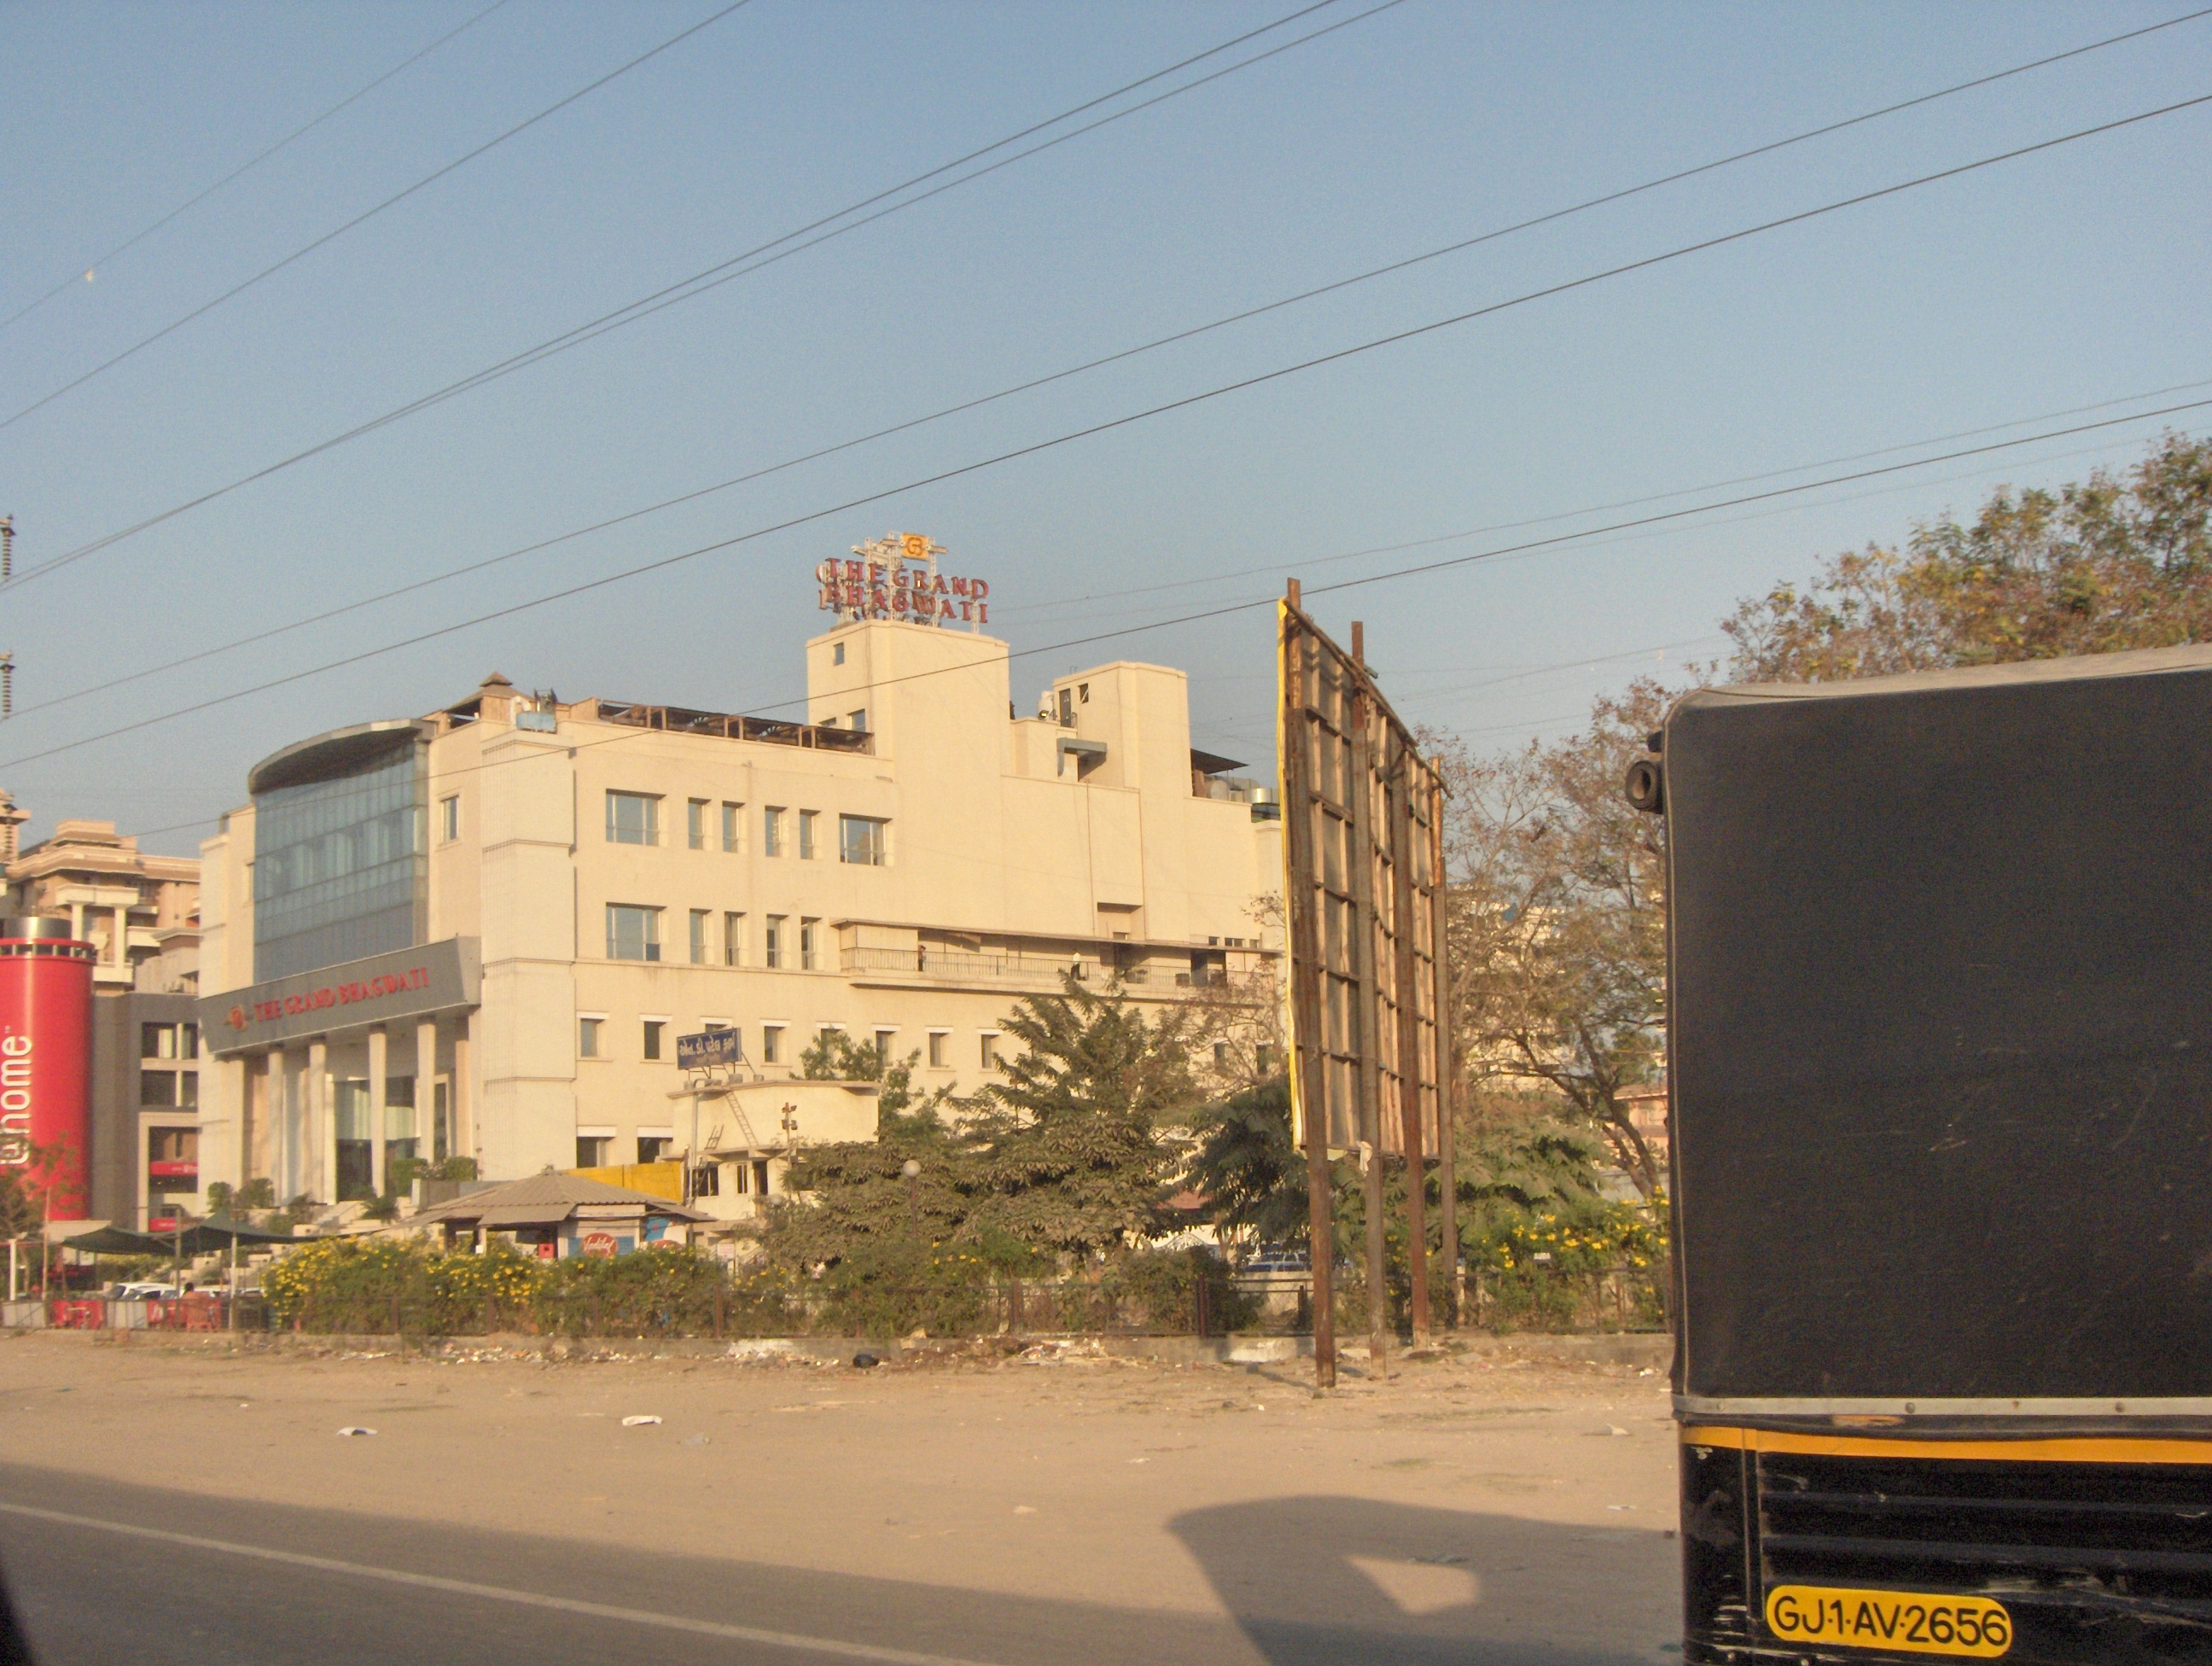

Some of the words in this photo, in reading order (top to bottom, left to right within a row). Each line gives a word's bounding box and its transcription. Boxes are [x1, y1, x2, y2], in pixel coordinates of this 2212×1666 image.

[823, 558, 889, 586] THE
[819, 584, 991, 629] BHAGWATI
[889, 567, 992, 602] GRAND
[0, 1034, 33, 1142] nome
[1767, 1587, 2009, 1654] GJ.1.AV.2656